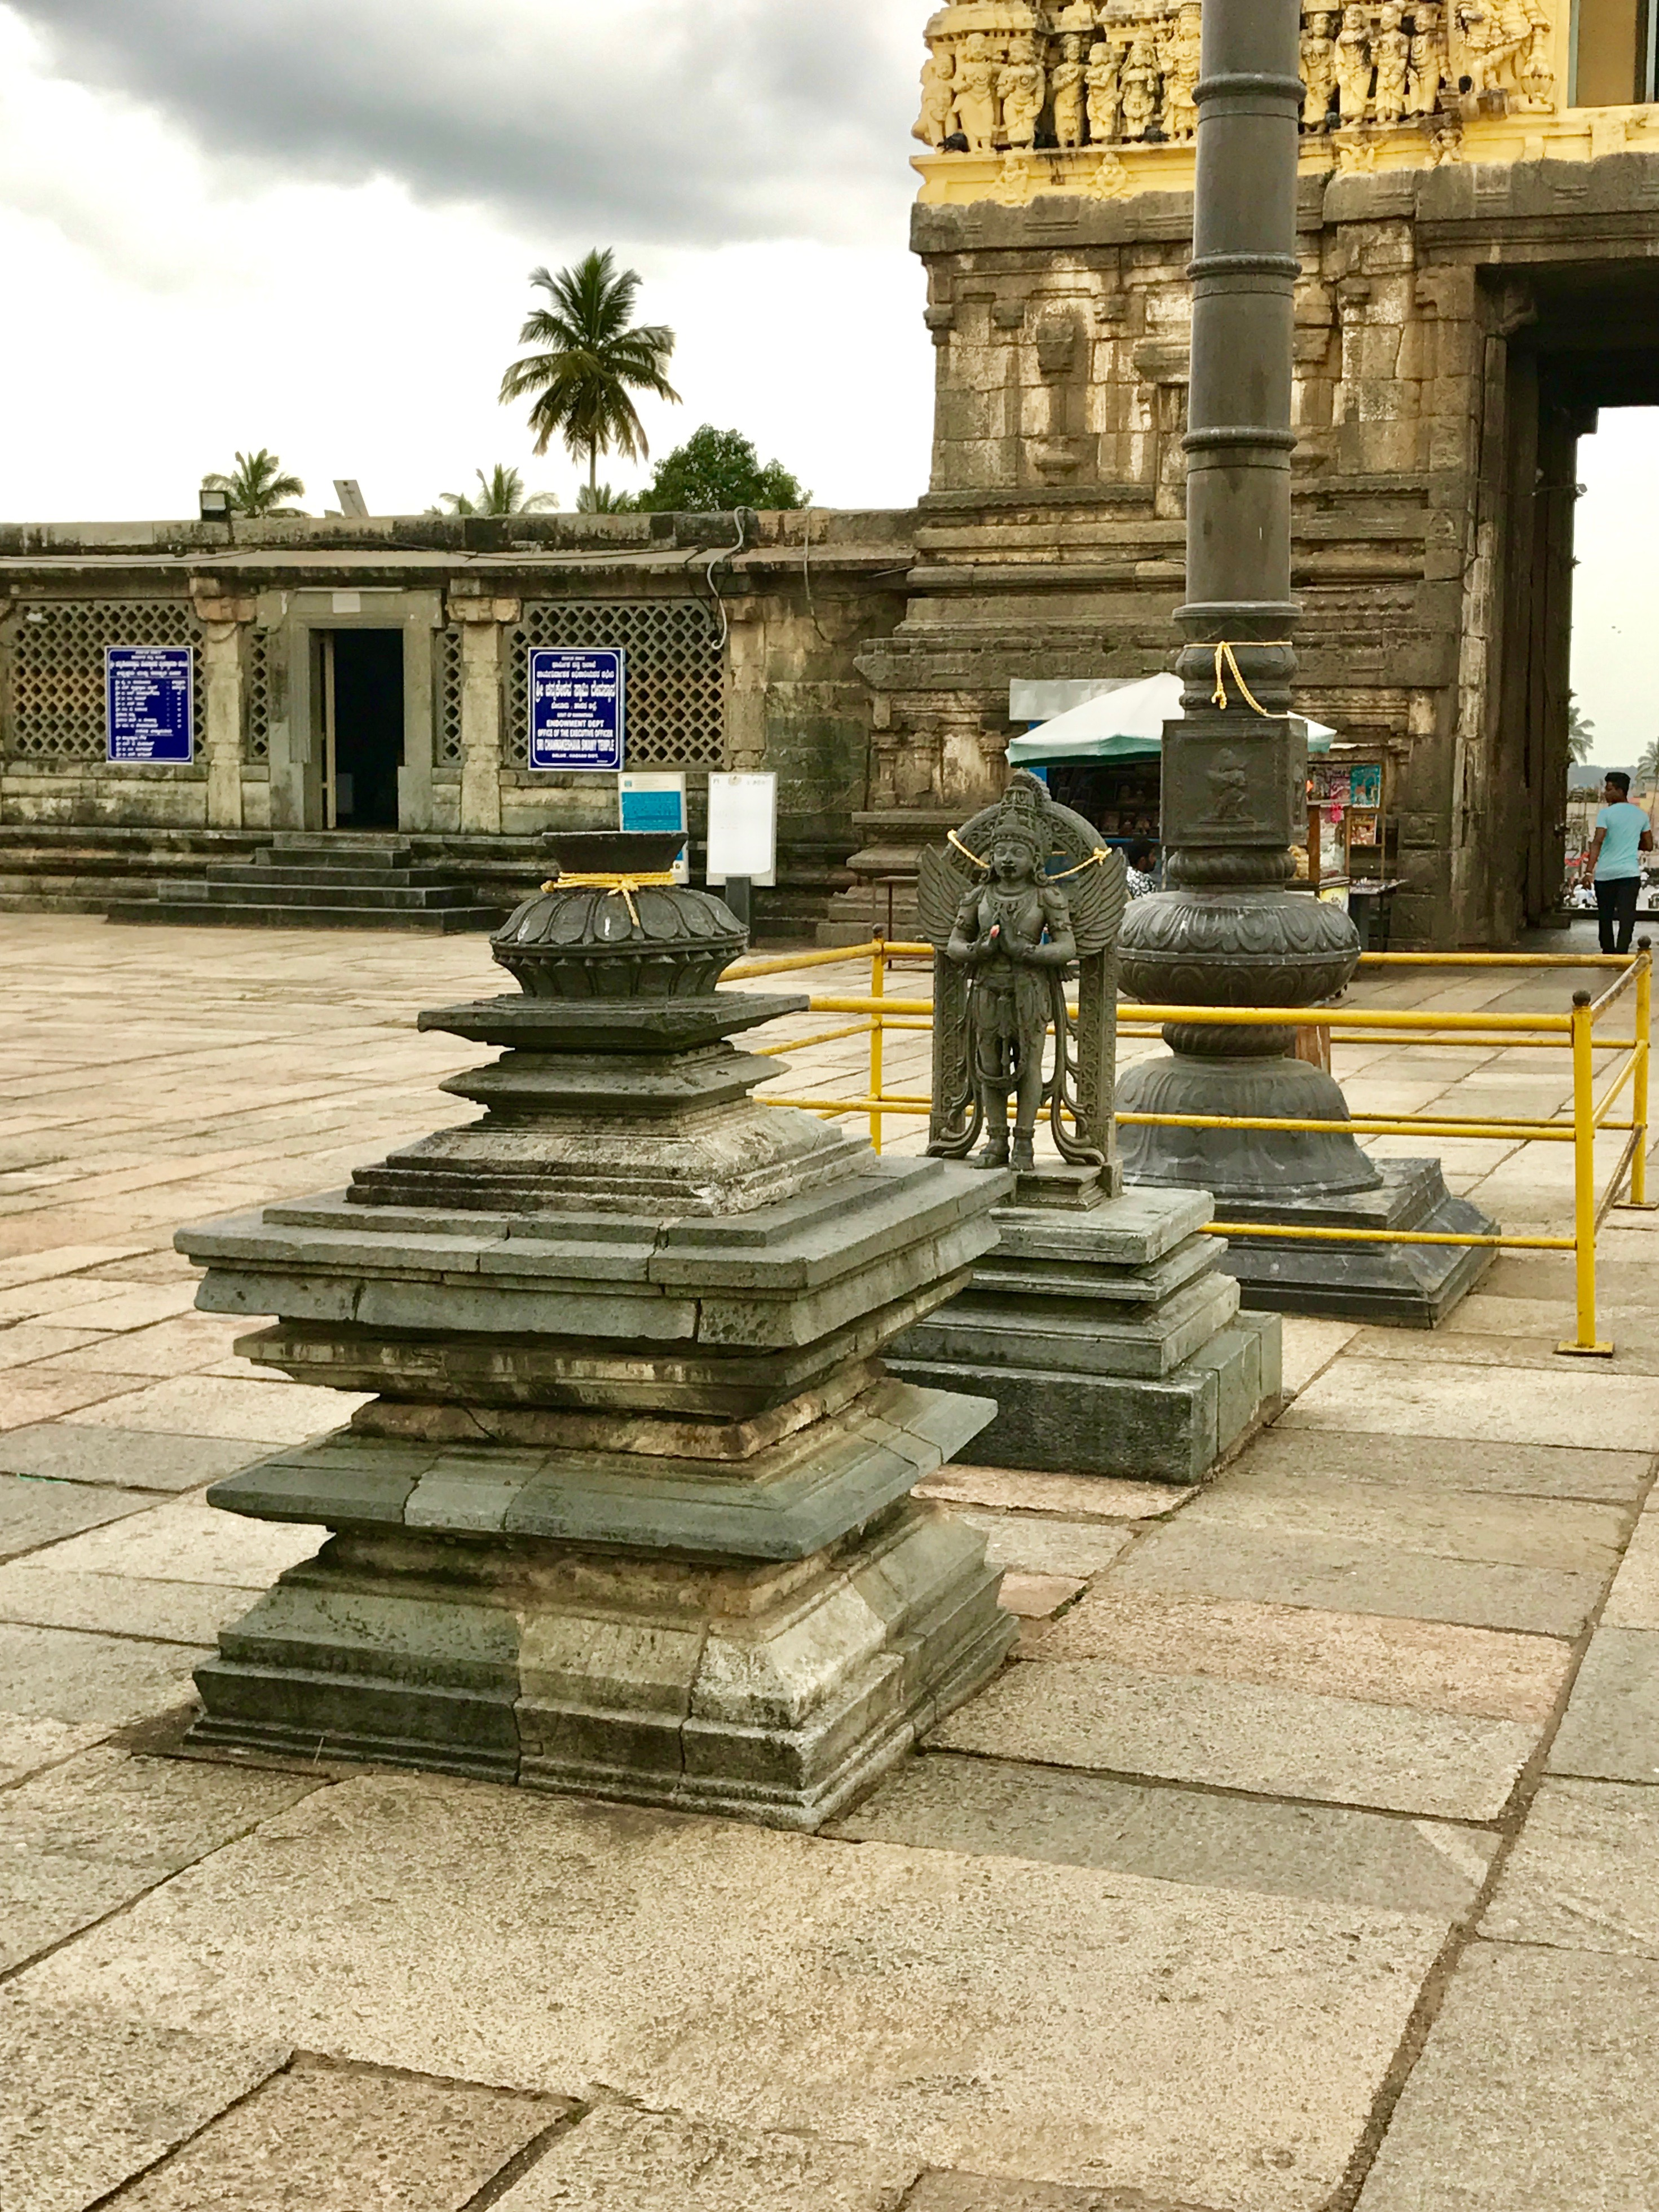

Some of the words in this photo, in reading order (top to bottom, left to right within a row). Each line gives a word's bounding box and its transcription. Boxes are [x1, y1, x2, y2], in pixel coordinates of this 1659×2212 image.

[530, 676, 546, 706] be
[544, 676, 573, 704] ಚನ್ನಕೇಶವ
[544, 717, 589, 732] ENDOWMENT
[585, 717, 607, 730] DEPT
[533, 726, 555, 740] OFFICE
[549, 727, 561, 740] OF
[558, 728, 571, 740] THE
[568, 726, 595, 741] EXECUTIVE
[593, 728, 615, 743] OFFICER
[595, 736, 617, 755] TEMPLE